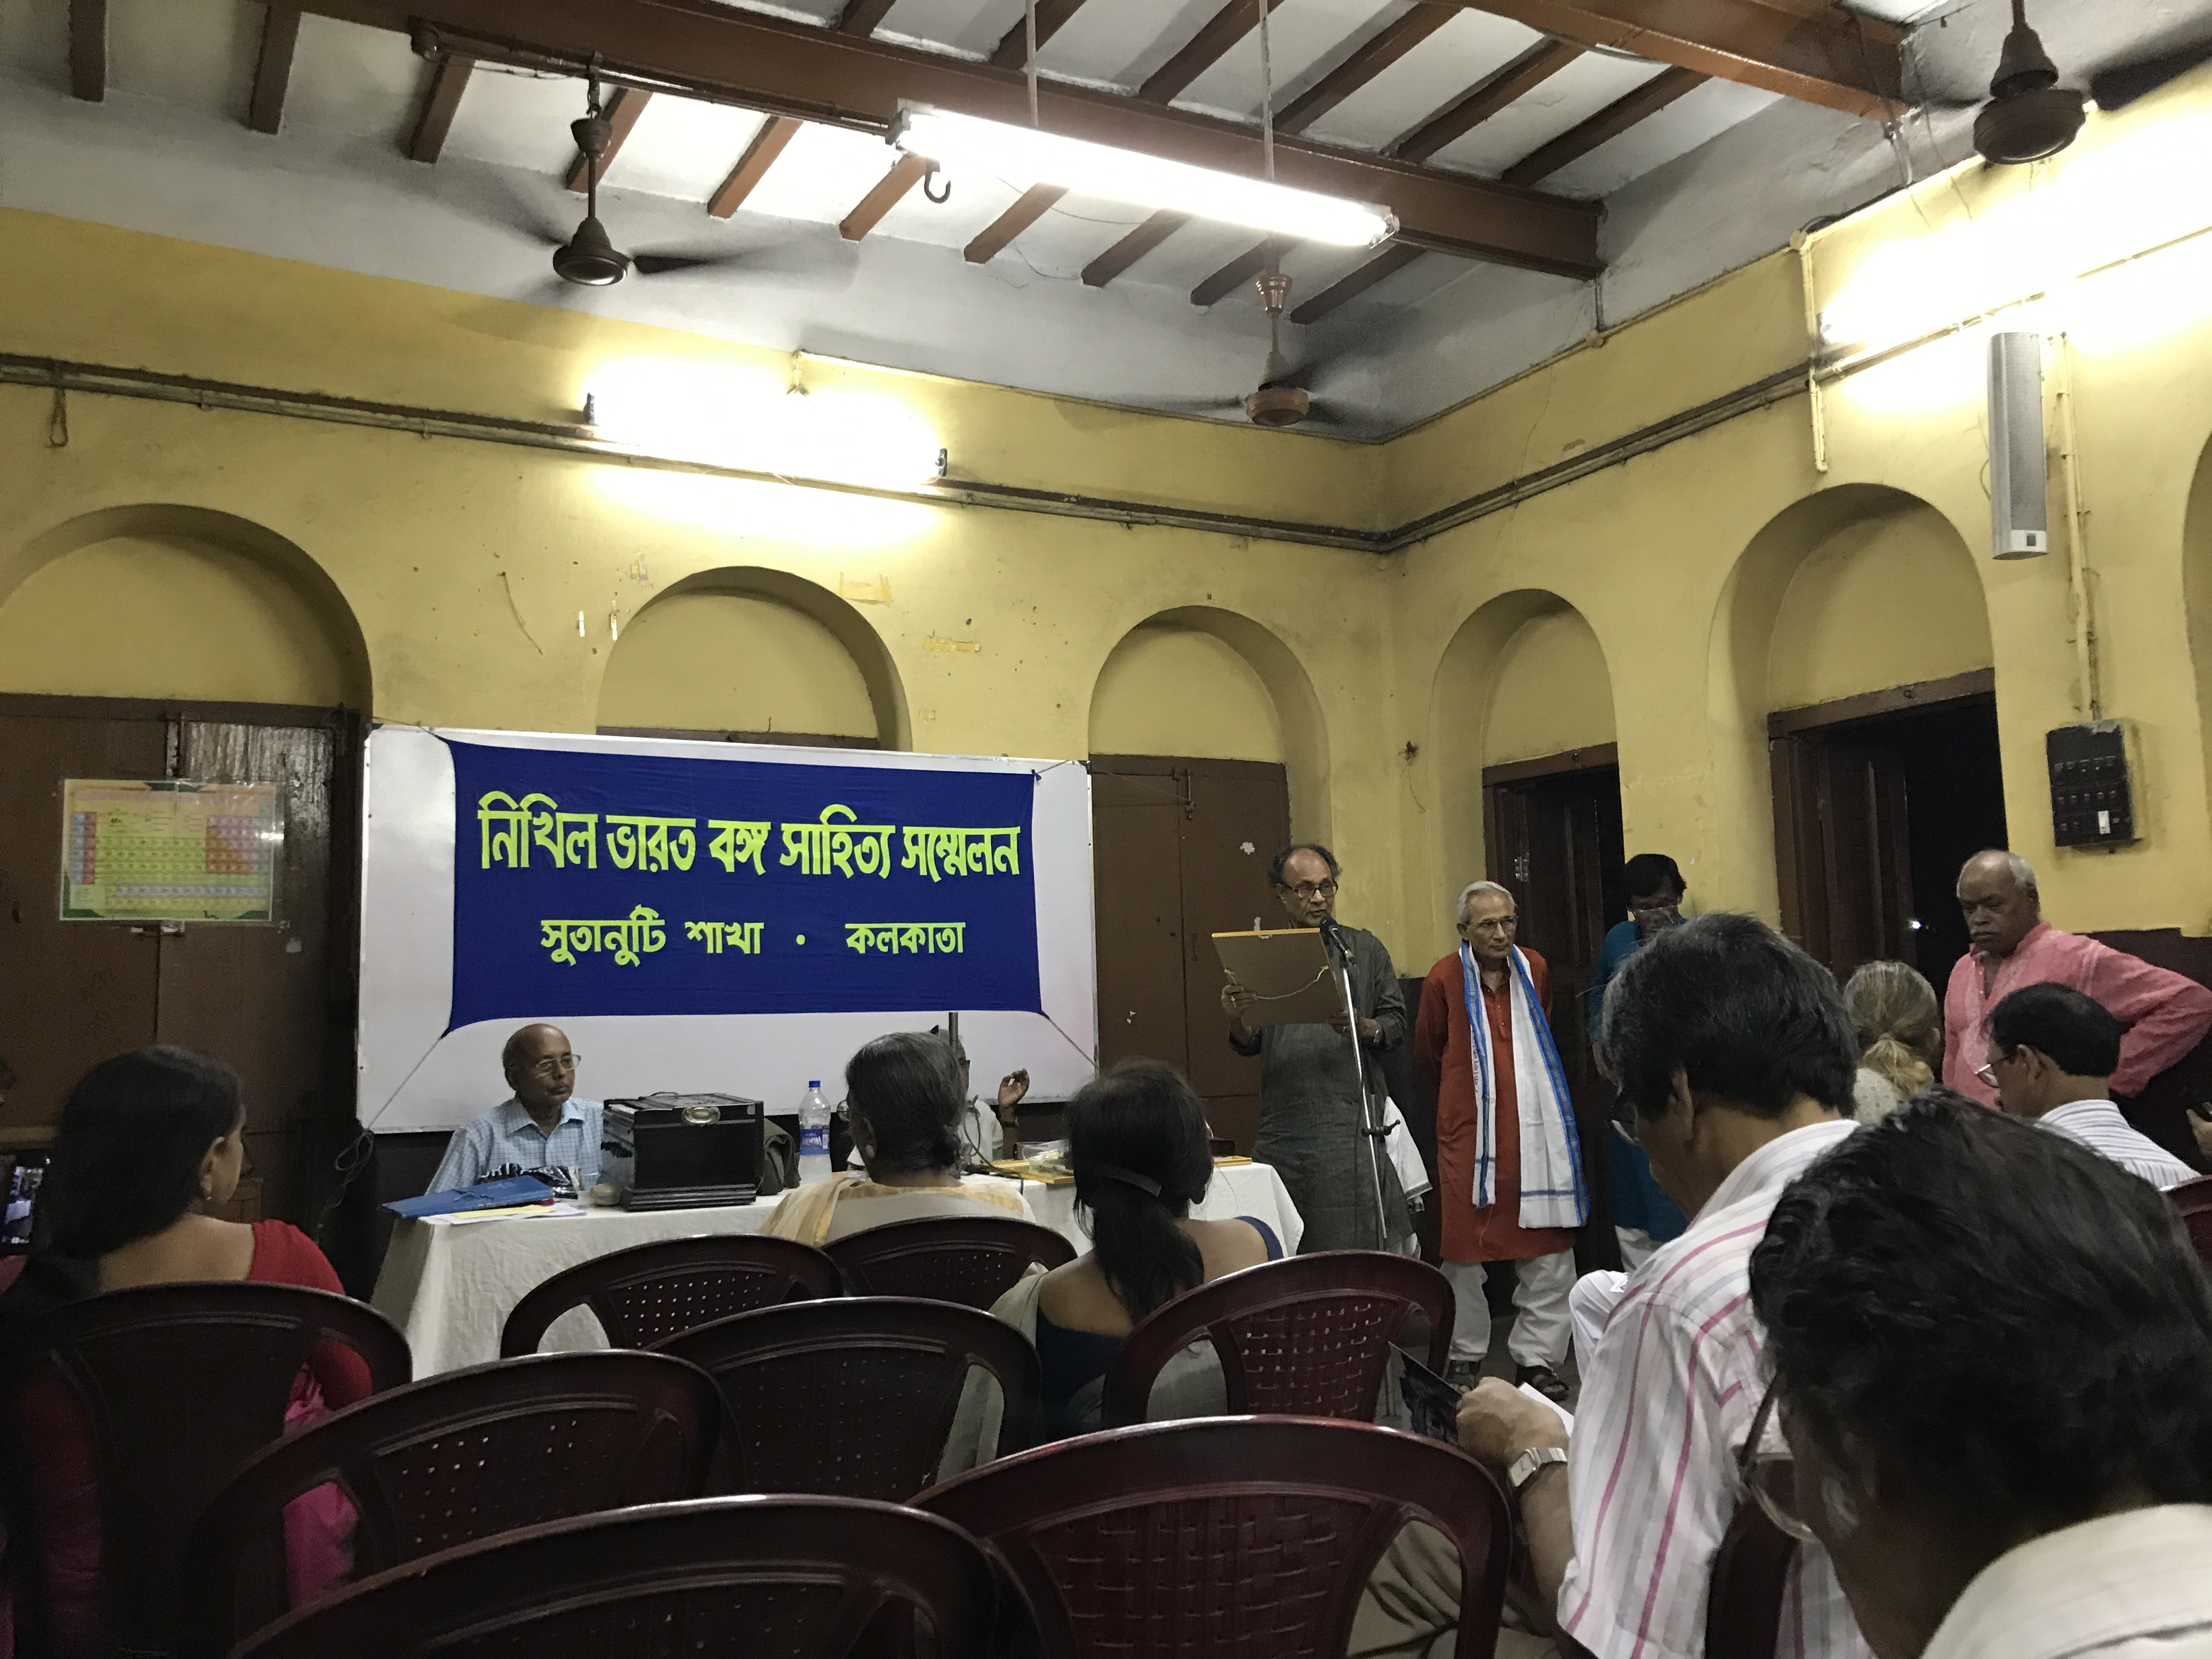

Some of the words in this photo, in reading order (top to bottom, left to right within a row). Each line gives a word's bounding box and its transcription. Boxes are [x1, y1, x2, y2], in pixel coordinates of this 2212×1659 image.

[469, 778, 602, 876] নিখিল
[602, 811, 704, 878] তারত
[701, 814, 772, 880] বঙ্গ
[772, 800, 902, 883] সাহিত্য
[896, 816, 1026, 884] সম্মেলন
[533, 901, 671, 972] সুআনুটি
[680, 915, 769, 960] শাখা
[839, 916, 967, 956] কলকাতা